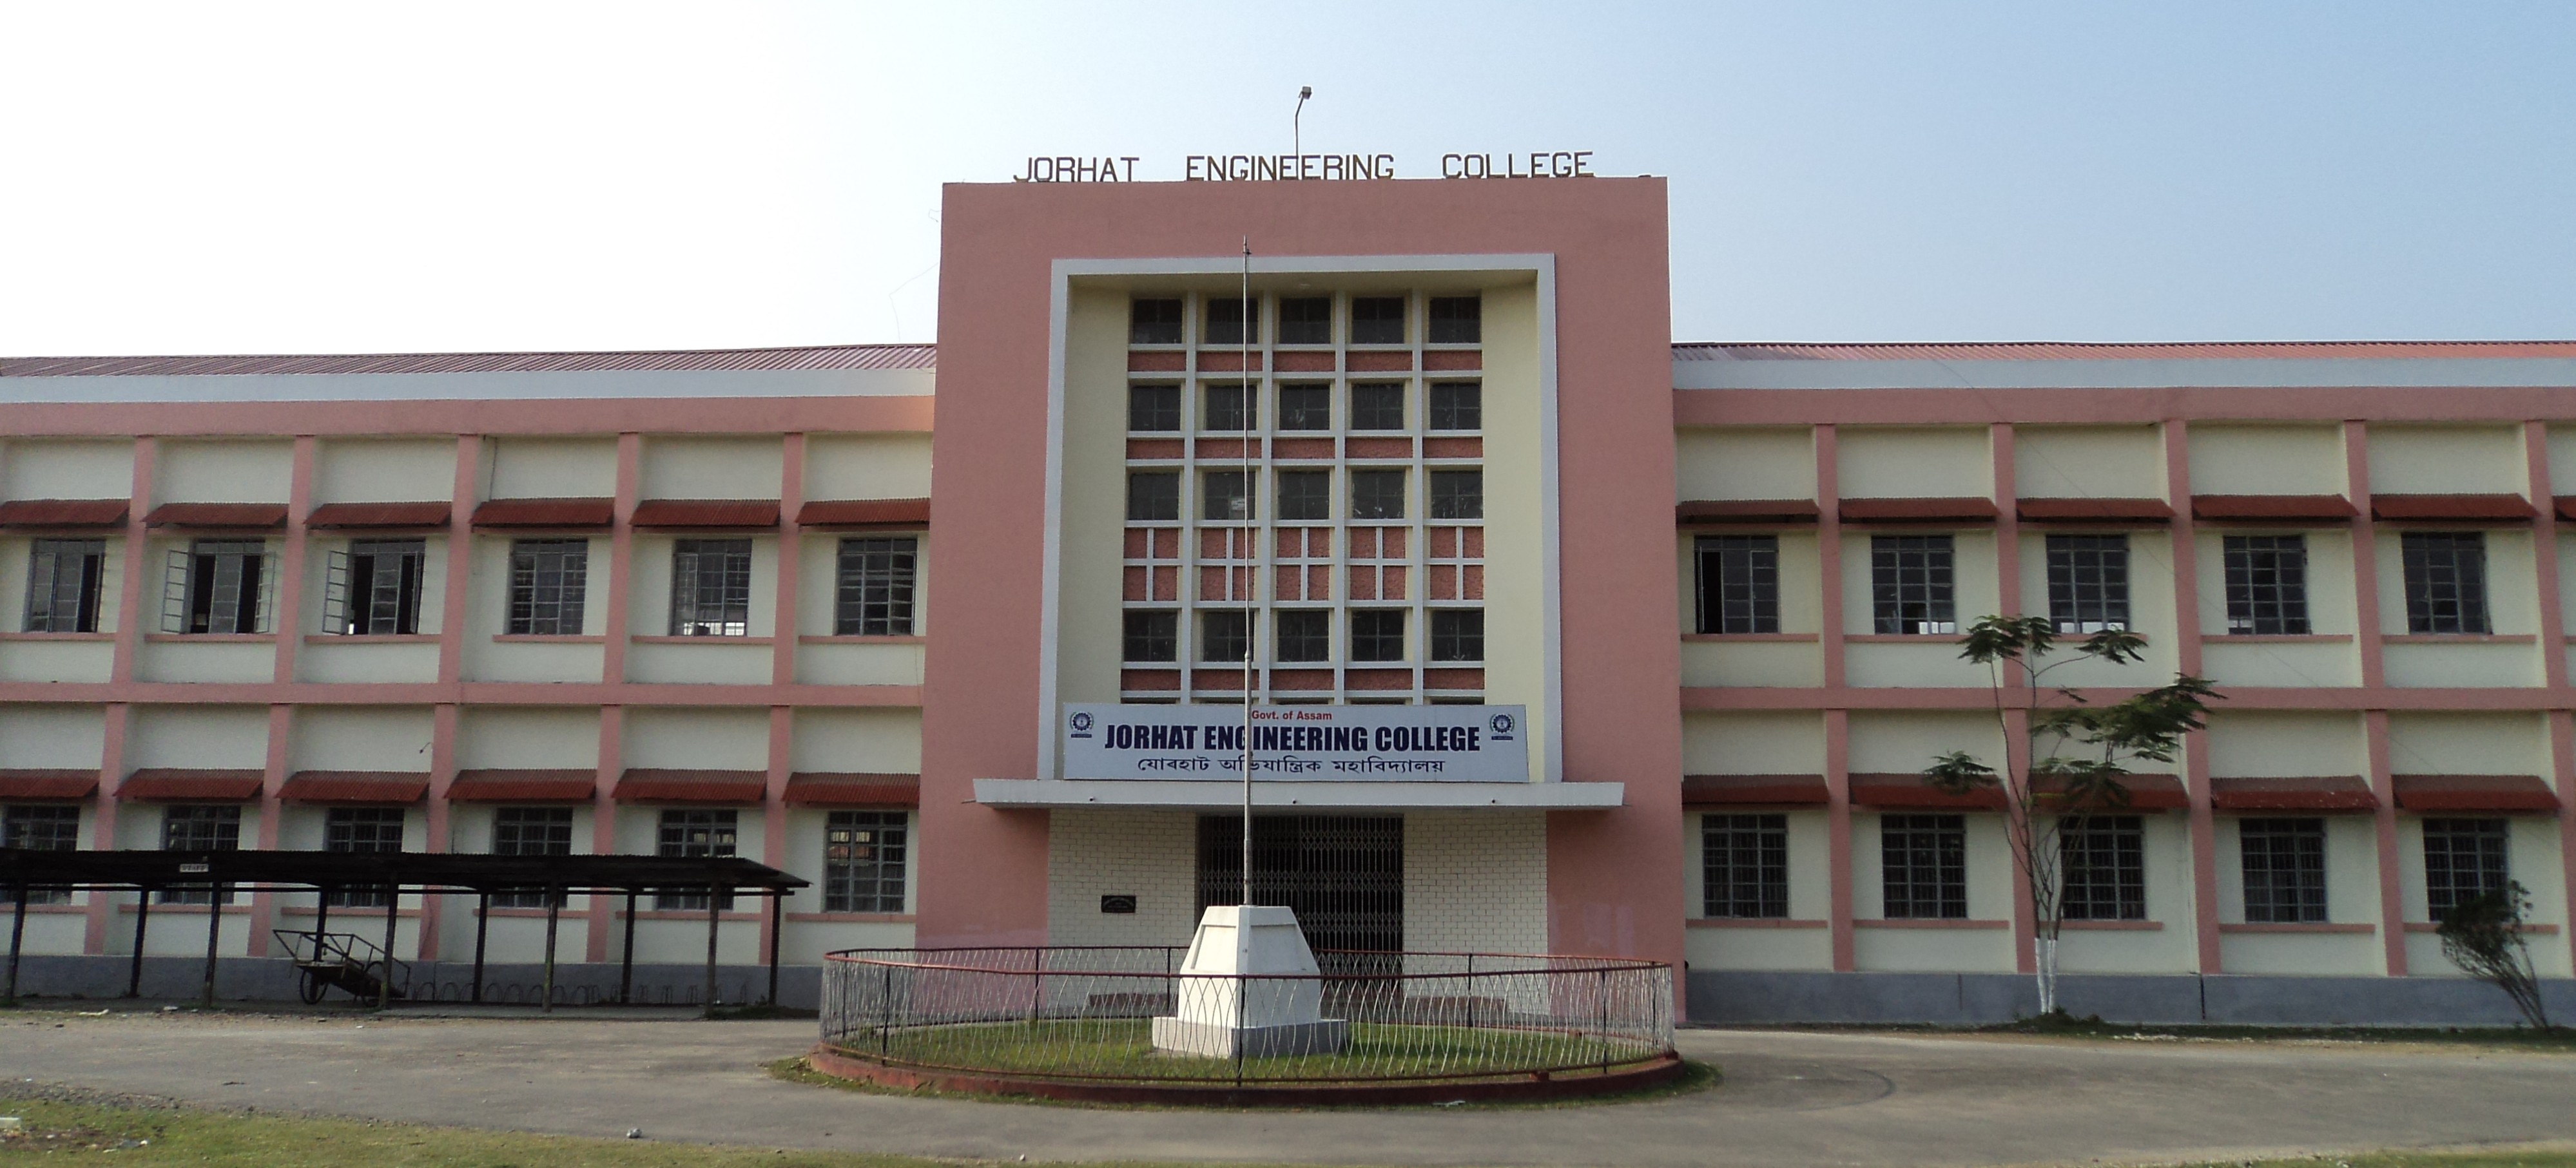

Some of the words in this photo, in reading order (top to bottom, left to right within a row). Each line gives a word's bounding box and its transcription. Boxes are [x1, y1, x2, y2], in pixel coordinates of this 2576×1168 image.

[1012, 147, 1147, 189] JORHAT
[1177, 149, 1397, 186] ENGINEERING
[1429, 144, 1596, 186] COLLEGE
[1247, 702, 1283, 723] Govt.
[1277, 705, 1301, 725] of
[1287, 705, 1337, 727] Assam
[1102, 719, 1203, 752] JORHAT
[1197, 717, 1372, 758] ENGINEERING
[1370, 718, 1489, 758] COLLEGE
[1130, 750, 1215, 776] যোৰহাট
[1214, 748, 1332, 778] অভিযান্ত্রিক
[1332, 749, 1451, 778] মহাবিদ্যালয়